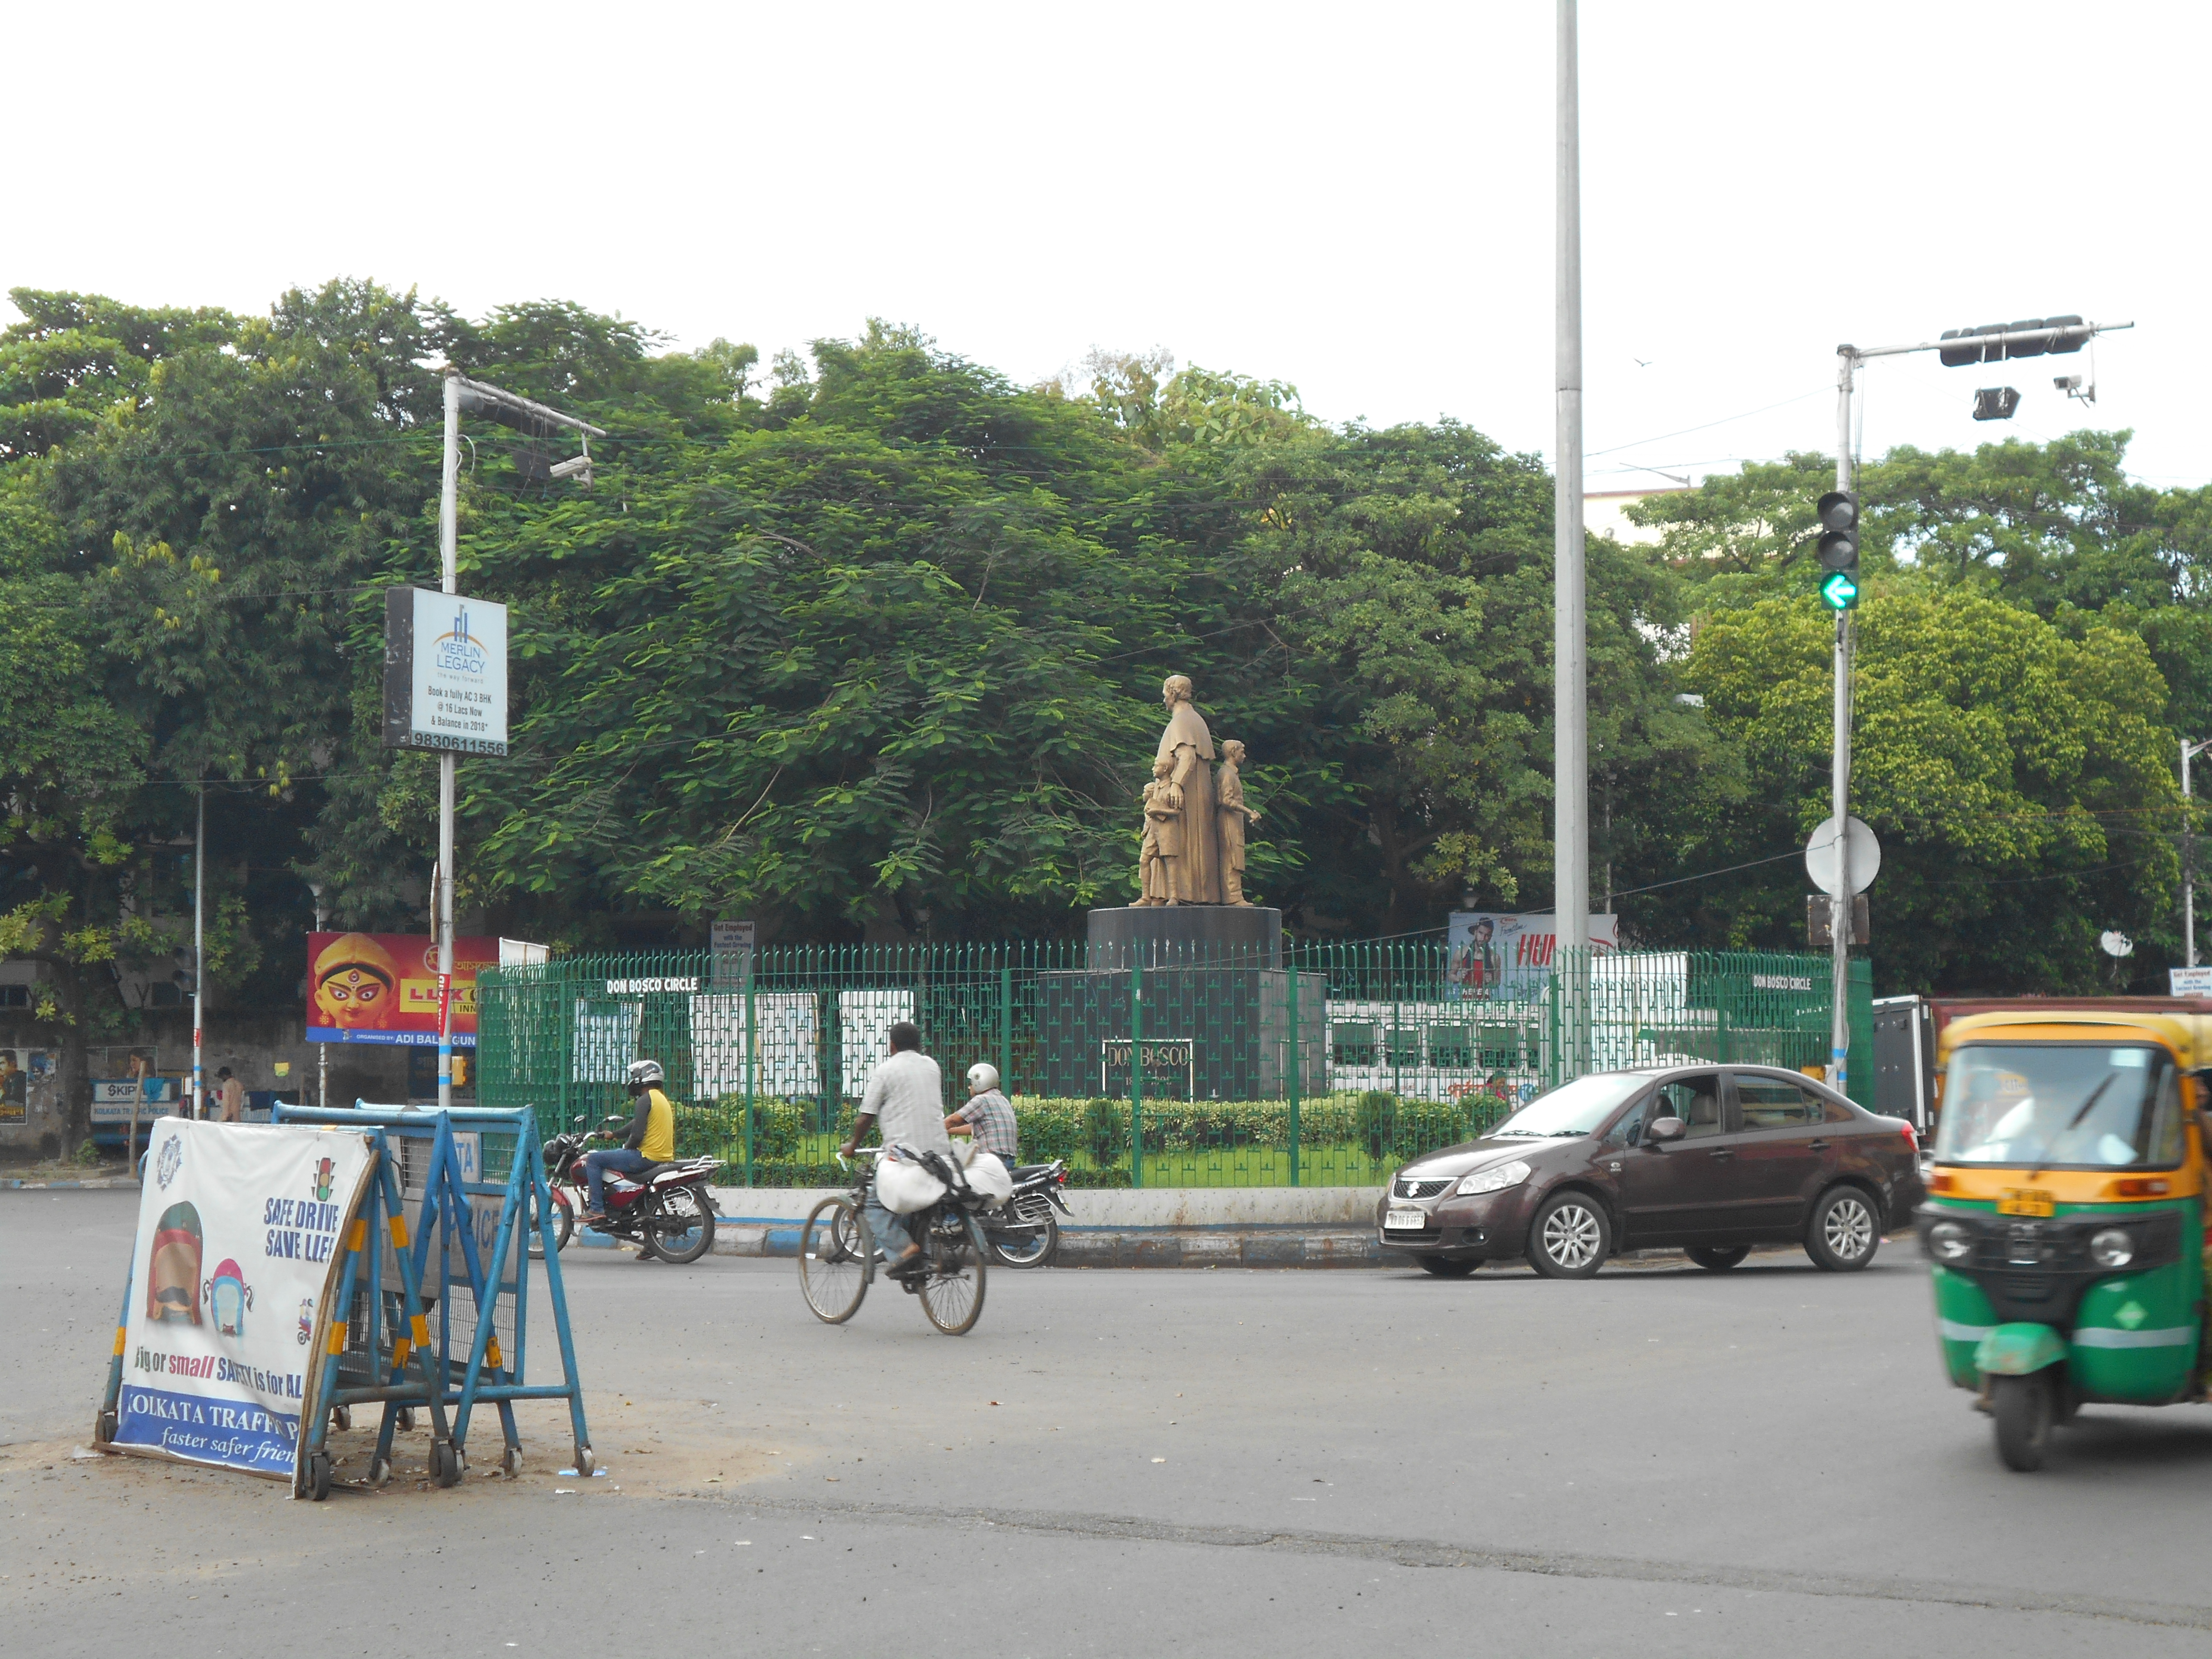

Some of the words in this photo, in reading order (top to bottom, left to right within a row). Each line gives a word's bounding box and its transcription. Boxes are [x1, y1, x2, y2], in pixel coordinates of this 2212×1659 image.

[437, 639, 484, 662] MERLIN
[434, 653, 488, 678] LEGACY
[425, 712, 438, 728] &
[426, 685, 445, 701] Book
[441, 688, 450, 699] a
[442, 700, 456, 715] 16
[436, 715, 462, 730] Balance
[445, 687, 465, 702] fully
[452, 703, 469, 718] Lacs
[458, 717, 472, 732] in
[458, 688, 474, 703] /AC
[467, 705, 484, 719] Now
[463, 717, 492, 734] 2018
[472, 691, 493, 704] 3BHK
[410, 732, 507, 756] 9830611556
[723, 918, 755, 934] Employed
[605, 978, 629, 996] DON
[628, 976, 663, 994] BOSCO
[661, 972, 699, 994] CIRCLE
[259, 1192, 297, 1229] SAFE
[294, 1197, 341, 1237] DRIVE
[263, 1224, 301, 1262] SAVE
[303, 1231, 337, 1265] LIFE
[124, 1341, 155, 1377] Big
[150, 1349, 170, 1375] or
[165, 1351, 217, 1381] small
[213, 1354, 254, 1389] SAFETY
[246, 1363, 267, 1395] is
[263, 1369, 285, 1398] for
[122, 1392, 205, 1427] OLKATA
[207, 1403, 298, 1445] TRAFFIC P
[154, 1424, 211, 1452] faster
[206, 1433, 251, 1461] safer
[252, 1437, 300, 1465] frien